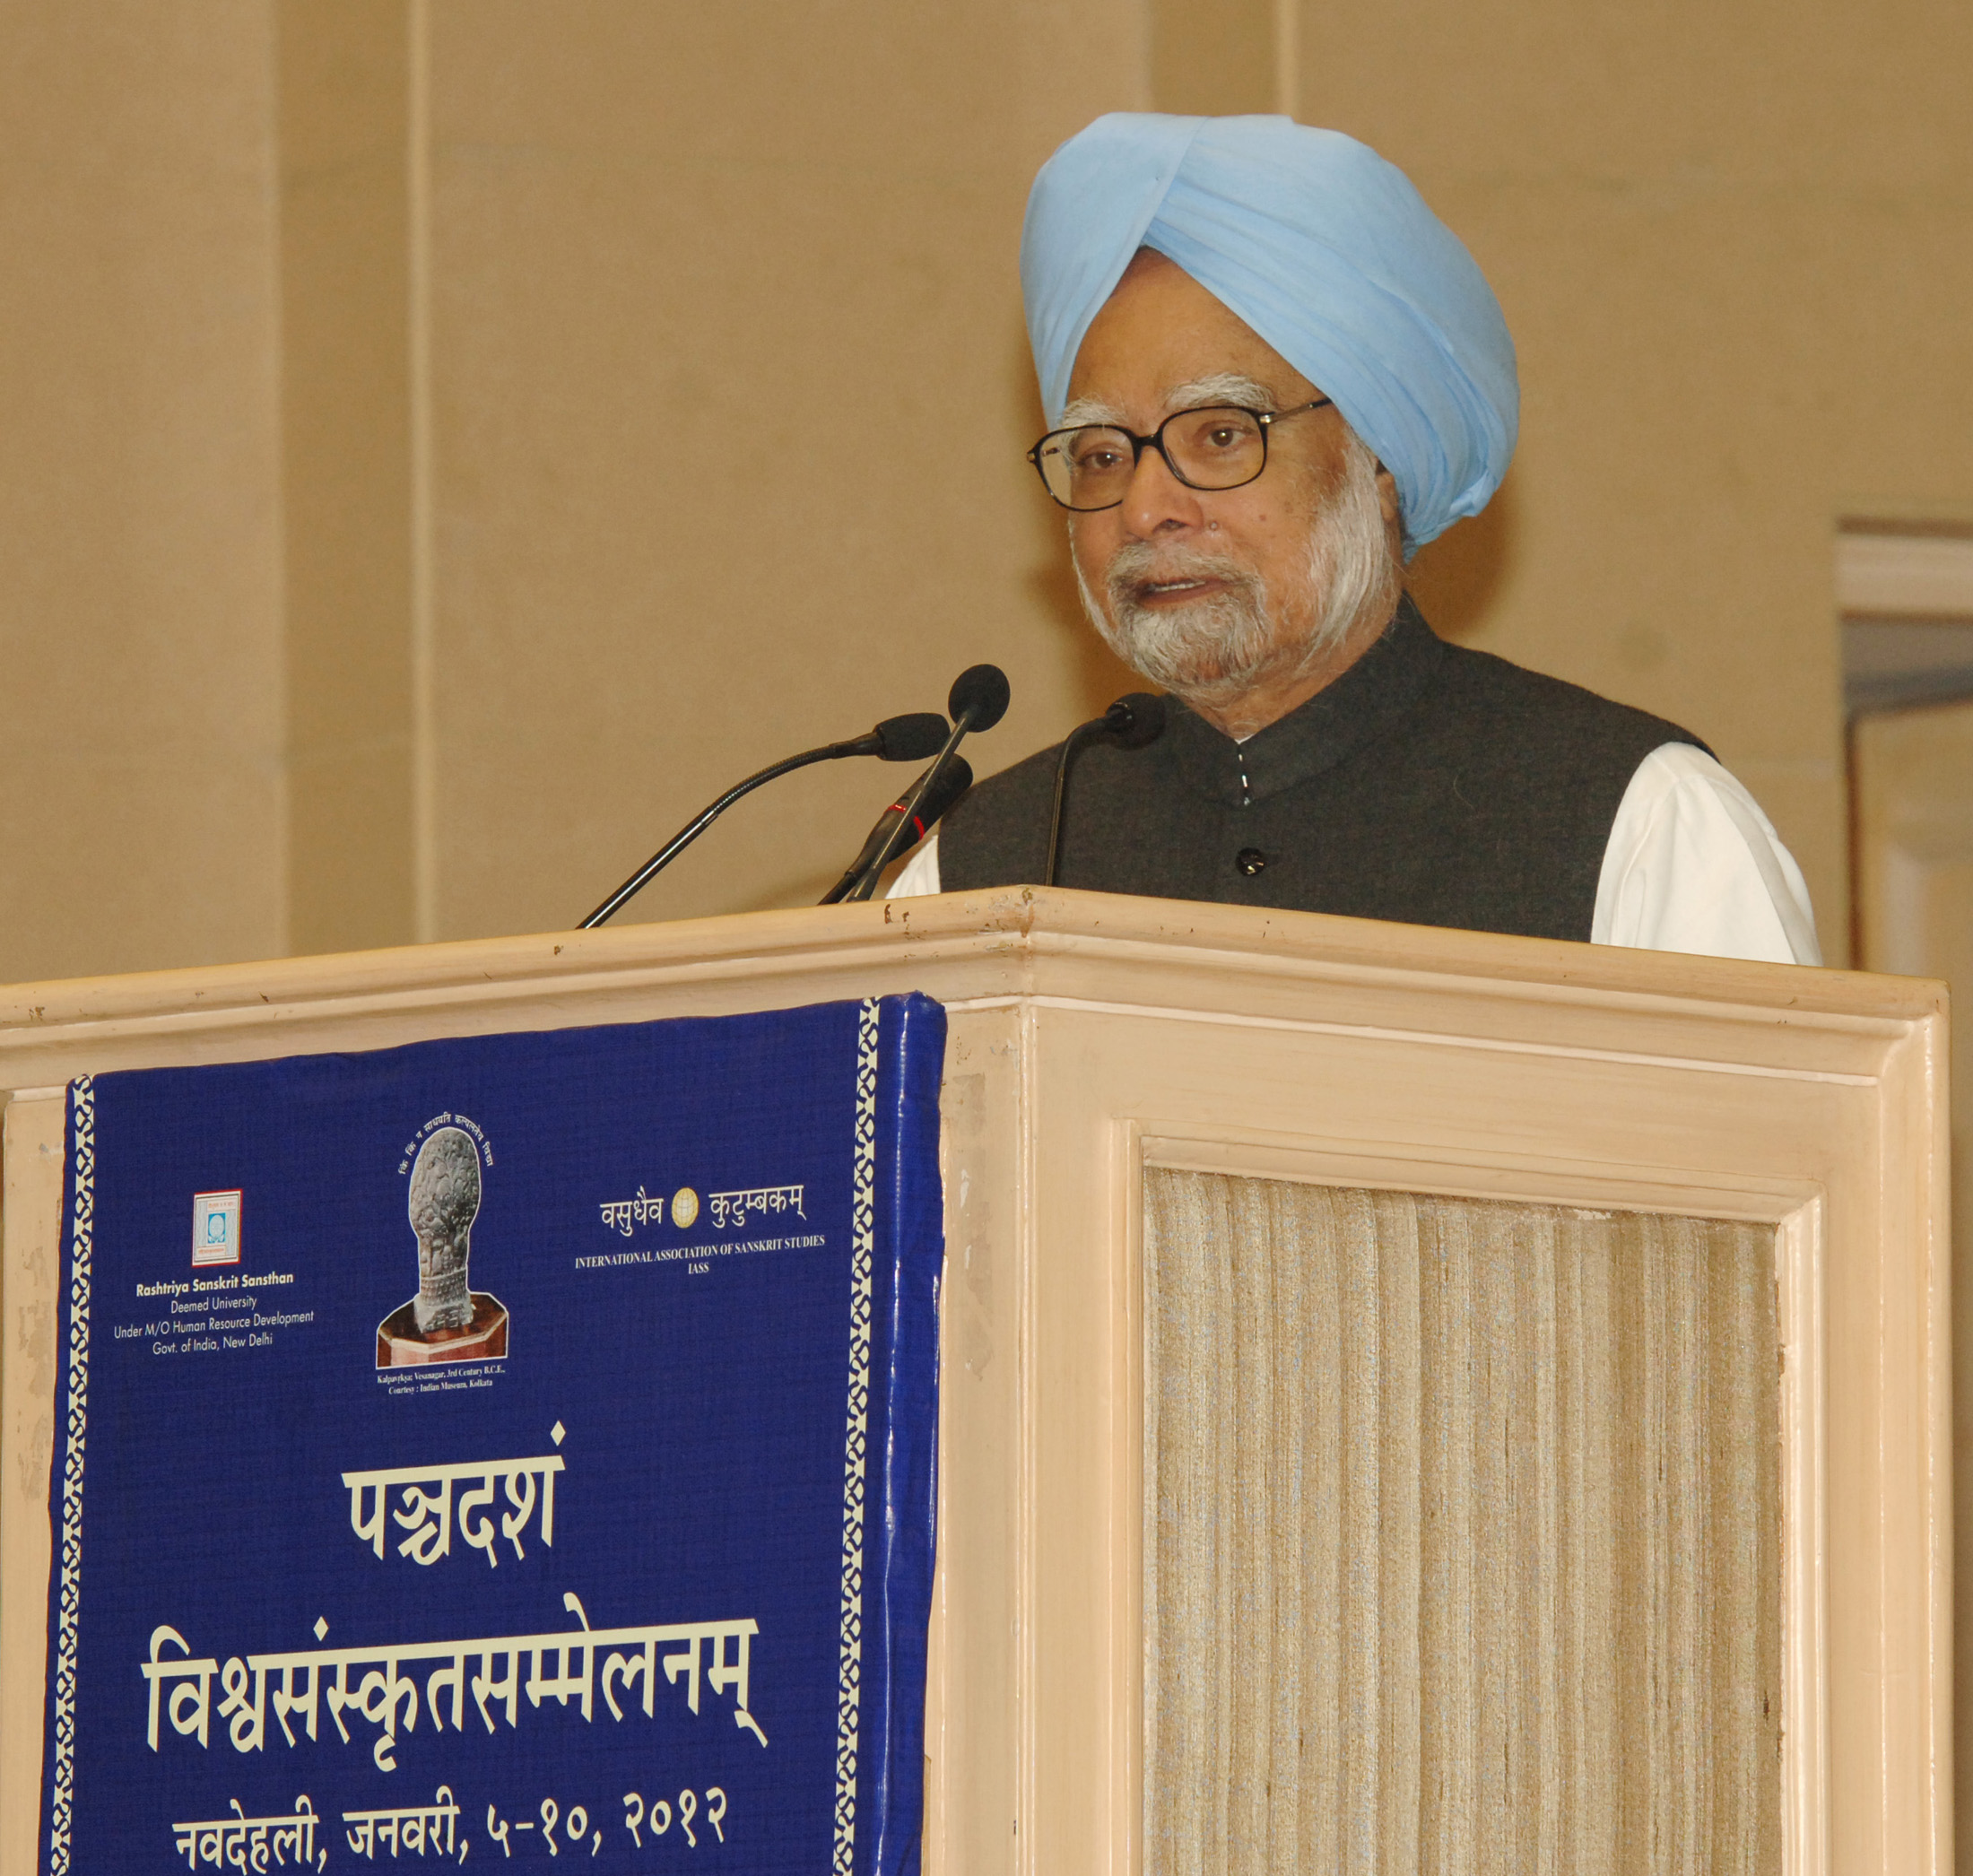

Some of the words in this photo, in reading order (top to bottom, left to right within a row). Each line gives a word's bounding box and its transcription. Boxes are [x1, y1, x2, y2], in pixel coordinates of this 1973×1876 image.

[410, 1125, 426, 1142] न
[417, 1104, 454, 1135] साधवति
[449, 1107, 486, 1145] कल्पलतेय
[402, 1136, 424, 1157] स्था
[394, 1154, 412, 1177] कि
[595, 1181, 665, 1241] वसुधैव
[708, 1181, 809, 1232] कुटुम्बकम्
[134, 1278, 191, 1301] Rashtriya
[190, 1272, 241, 1294] Sanskrit
[239, 1267, 297, 1290] Sansthan
[572, 1247, 656, 1273] INTERNATIONAL.
[650, 1240, 721, 1265] ASSOCIATION
[682, 1259, 713, 1278] IASS
[715, 1238, 734, 1258] OF
[731, 1235, 785, 1258] SANSKRIT
[782, 1231, 830, 1255] STUDIES
[166, 1296, 212, 1317] Deemed
[210, 1293, 260, 1314] University
[111, 1318, 173, 1342] UnderM/O
[149, 1339, 179, 1360] Govt.
[177, 1335, 196, 1357] of
[169, 1316, 208, 1337] Human
[190, 1336, 220, 1353] India,
[206, 1316, 254, 1334] Resource
[220, 1333, 248, 1352] New
[245, 1329, 277, 1351] Delhi
[248, 1307, 319, 1330] Development
[339, 1418, 568, 1571] पञ्चदशं
[136, 1585, 770, 1775] विश्वसंस्कृतसम्मेलनम्
[163, 1789, 328, 1876] नवदेहली
[333, 1782, 468, 1868] जनवरी,
[482, 1793, 590, 1862] ५-१०
[614, 1776, 737, 1858] २०१२